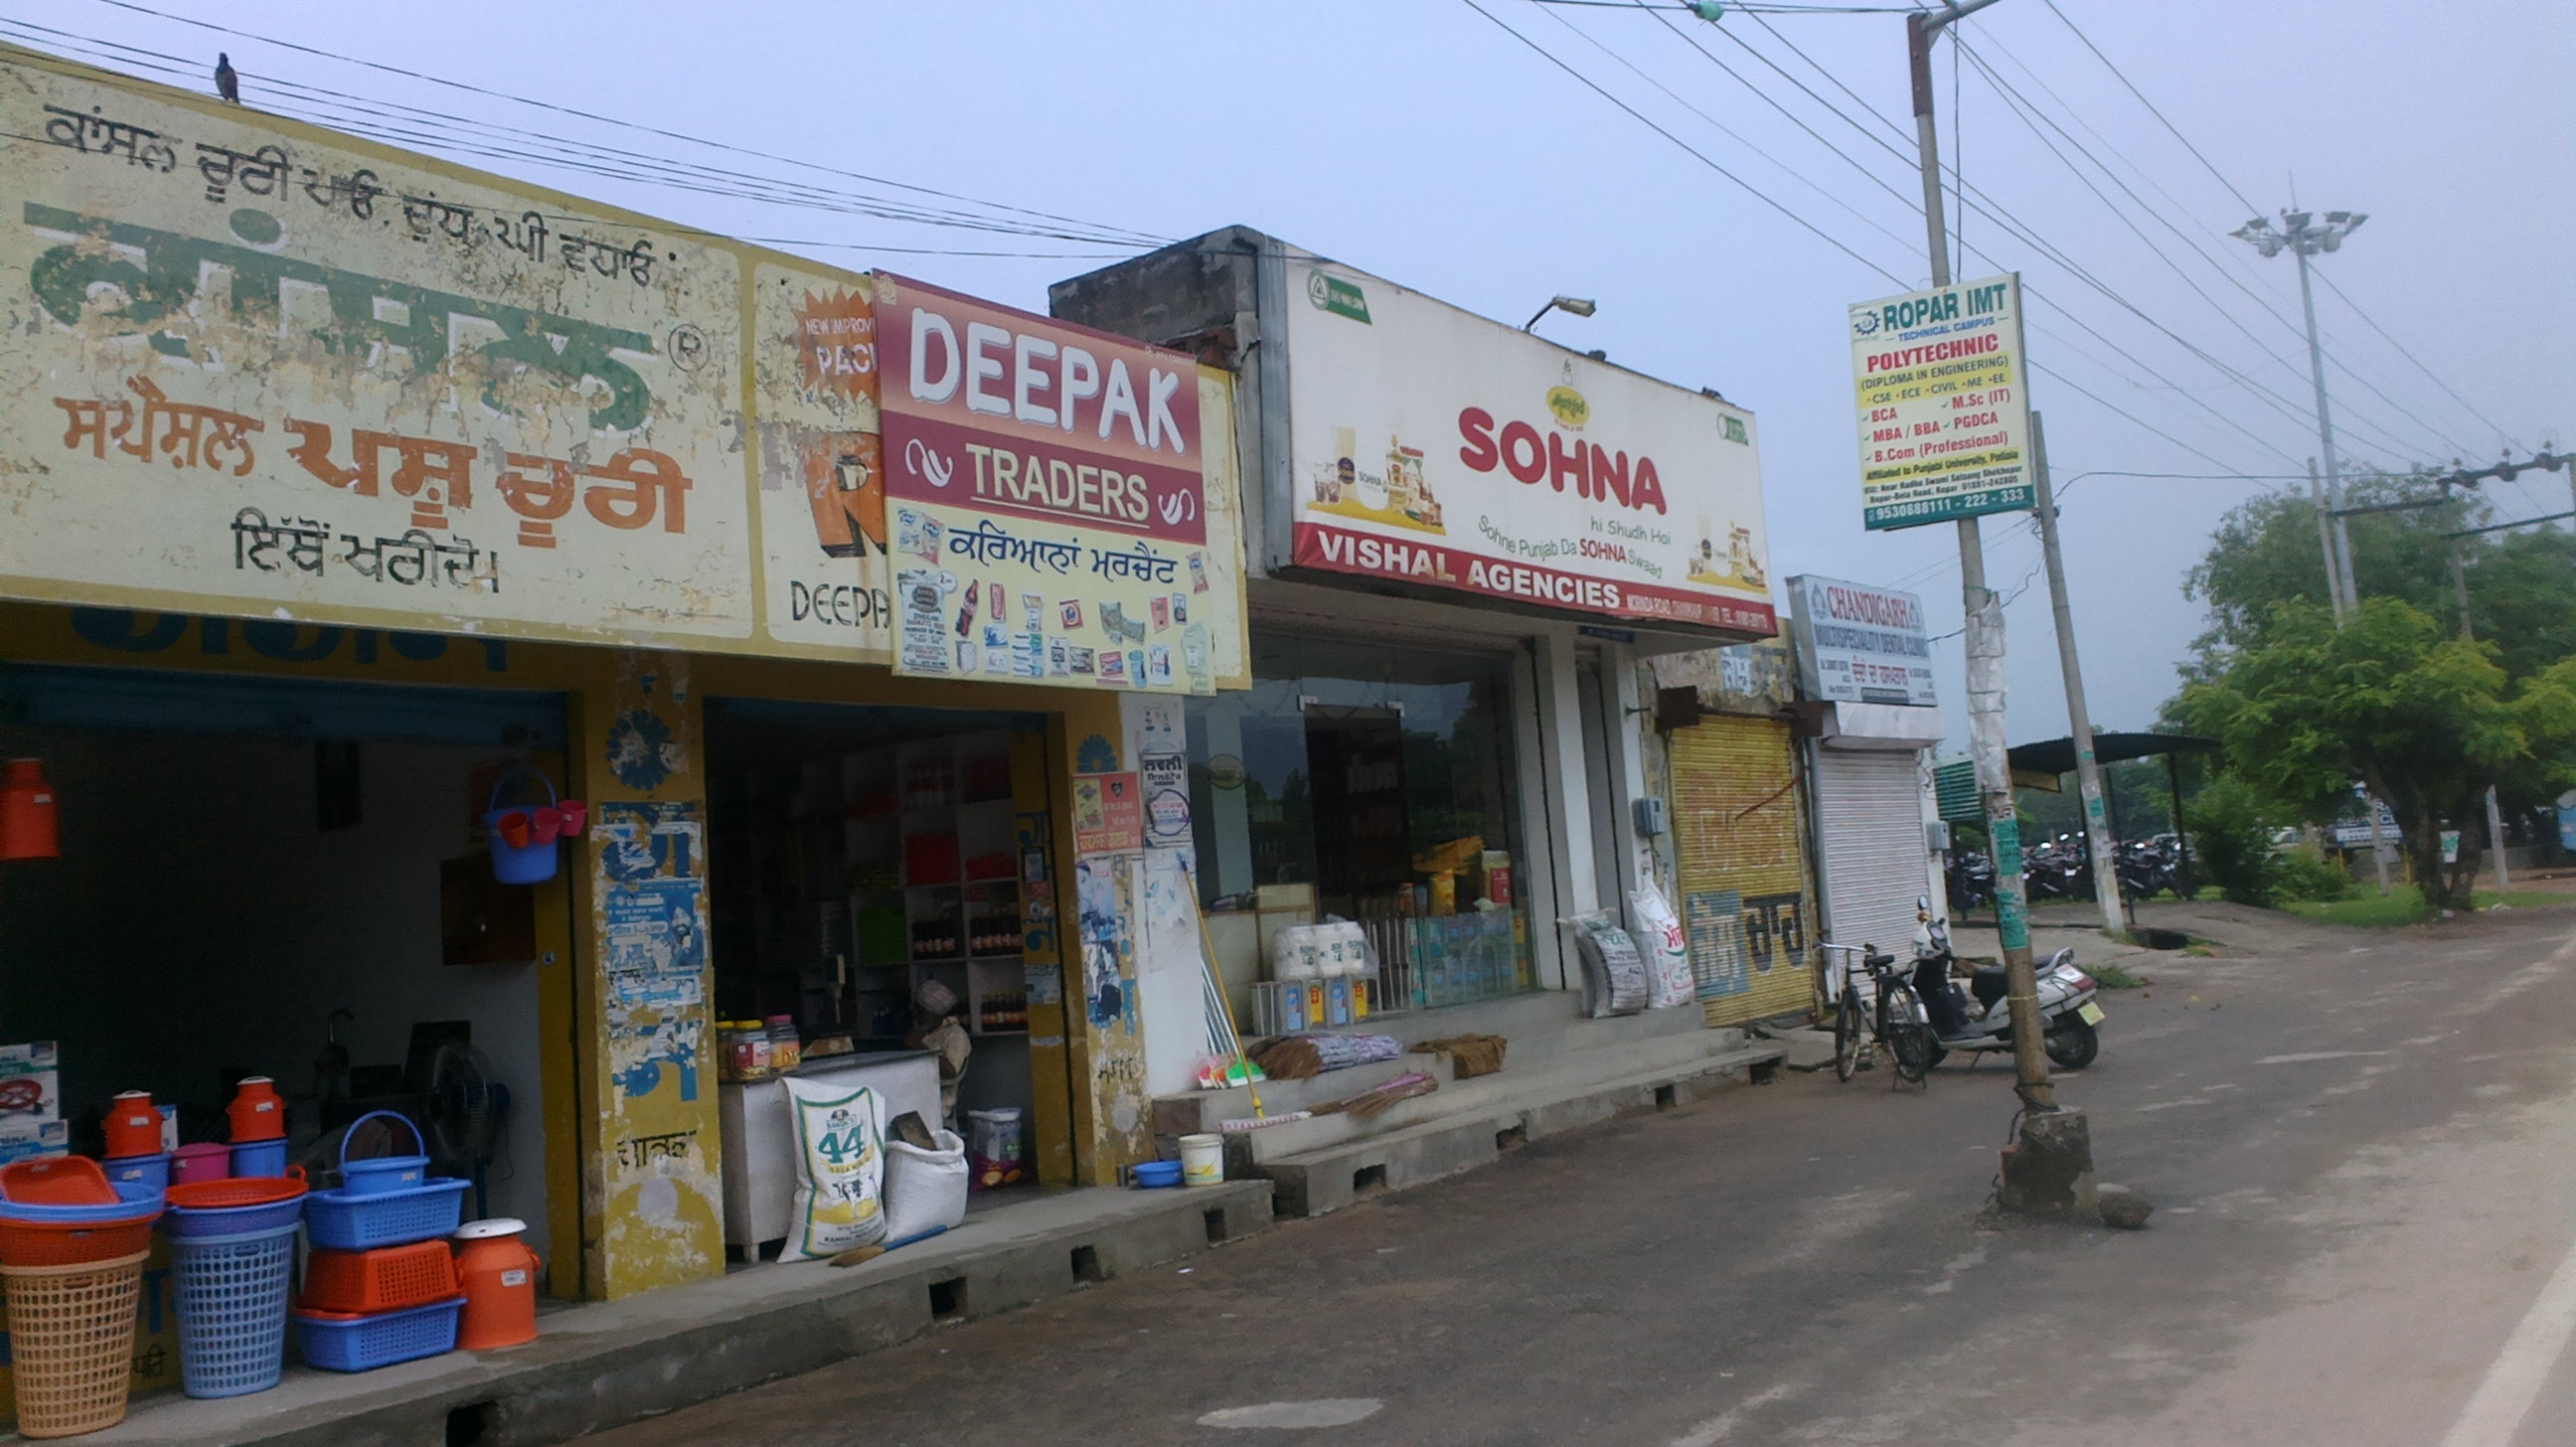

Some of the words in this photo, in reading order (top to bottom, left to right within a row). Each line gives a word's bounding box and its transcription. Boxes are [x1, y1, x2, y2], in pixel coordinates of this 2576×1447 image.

[35, 92, 189, 181] ਕਾਂਸਲ
[190, 130, 298, 211] ਚੂਟੀ
[294, 162, 392, 233] ਪਾਓ
[388, 182, 481, 253] ਦੁੱਧ
[482, 204, 555, 268] ਘੀ
[551, 227, 666, 292] ਵਧਾਓ
[1, 184, 668, 437] ਕਾਂਬਲ
[1879, 287, 1965, 335] ROPAR
[1963, 278, 2011, 319] IMT
[38, 365, 275, 489] ਸਪੈਸ਼ਲ
[221, 500, 336, 587] ਇੱਥੋਂ
[270, 408, 488, 533] ਪਸ਼ੂ
[336, 522, 489, 602] ਖਰੀਦੋ
[485, 436, 703, 560] ਚੂਰੀ
[782, 574, 893, 634] DEEPA
[942, 514, 1090, 583] ਕਰਿਆਨਾਂ
[892, 301, 1193, 469] DEEPAK
[960, 432, 1155, 525] TRADERS
[1083, 534, 1183, 589] ਮਰਚੈਂਟ
[1309, 522, 1462, 589] VISHAL
[1474, 510, 1520, 558] Sohne
[1516, 535, 1561, 565] Punjab
[1459, 553, 1625, 614] AGENCIES
[1451, 402, 1678, 520] SOHNA
[1556, 534, 1578, 560] Da
[1585, 513, 1606, 538] hi
[1577, 534, 1629, 565] SOHNA
[1606, 514, 1649, 549] Shudh
[1627, 546, 1667, 582] Swaad
[1649, 523, 1677, 551] Hai
[1824, 582, 1911, 631] CHANDIGARH
[1869, 389, 1893, 407] CSE
[1869, 403, 1902, 426] BCA
[1869, 424, 1906, 446] MBA
[1862, 368, 1916, 391] DIPLOMA
[1873, 444, 1920, 466] B.Com
[1899, 385, 1925, 402] ECE
[1873, 496, 1955, 524] 9530888111
[1913, 365, 1931, 385] IN
[1910, 417, 1944, 440] BBA
[1861, 329, 2003, 377] POLYTECHNIC
[1929, 379, 1959, 400] CIVIL
[1920, 428, 2008, 456] Professional)
[1929, 351, 2007, 381] ENGINEERING)
[1949, 390, 1987, 412] M.Sc
[1961, 490, 1991, 510] 222
[1965, 373, 1988, 391] ME
[1951, 408, 2006, 432] PGDCA
[1991, 369, 2009, 388] EE
[1991, 386, 2009, 405] IT)
[1998, 486, 2026, 506] 333
[1685, 891, 1749, 1001] ਜੋਸ
[1735, 884, 1813, 989] ਚਾਹ
[810, 1121, 874, 1168] 44